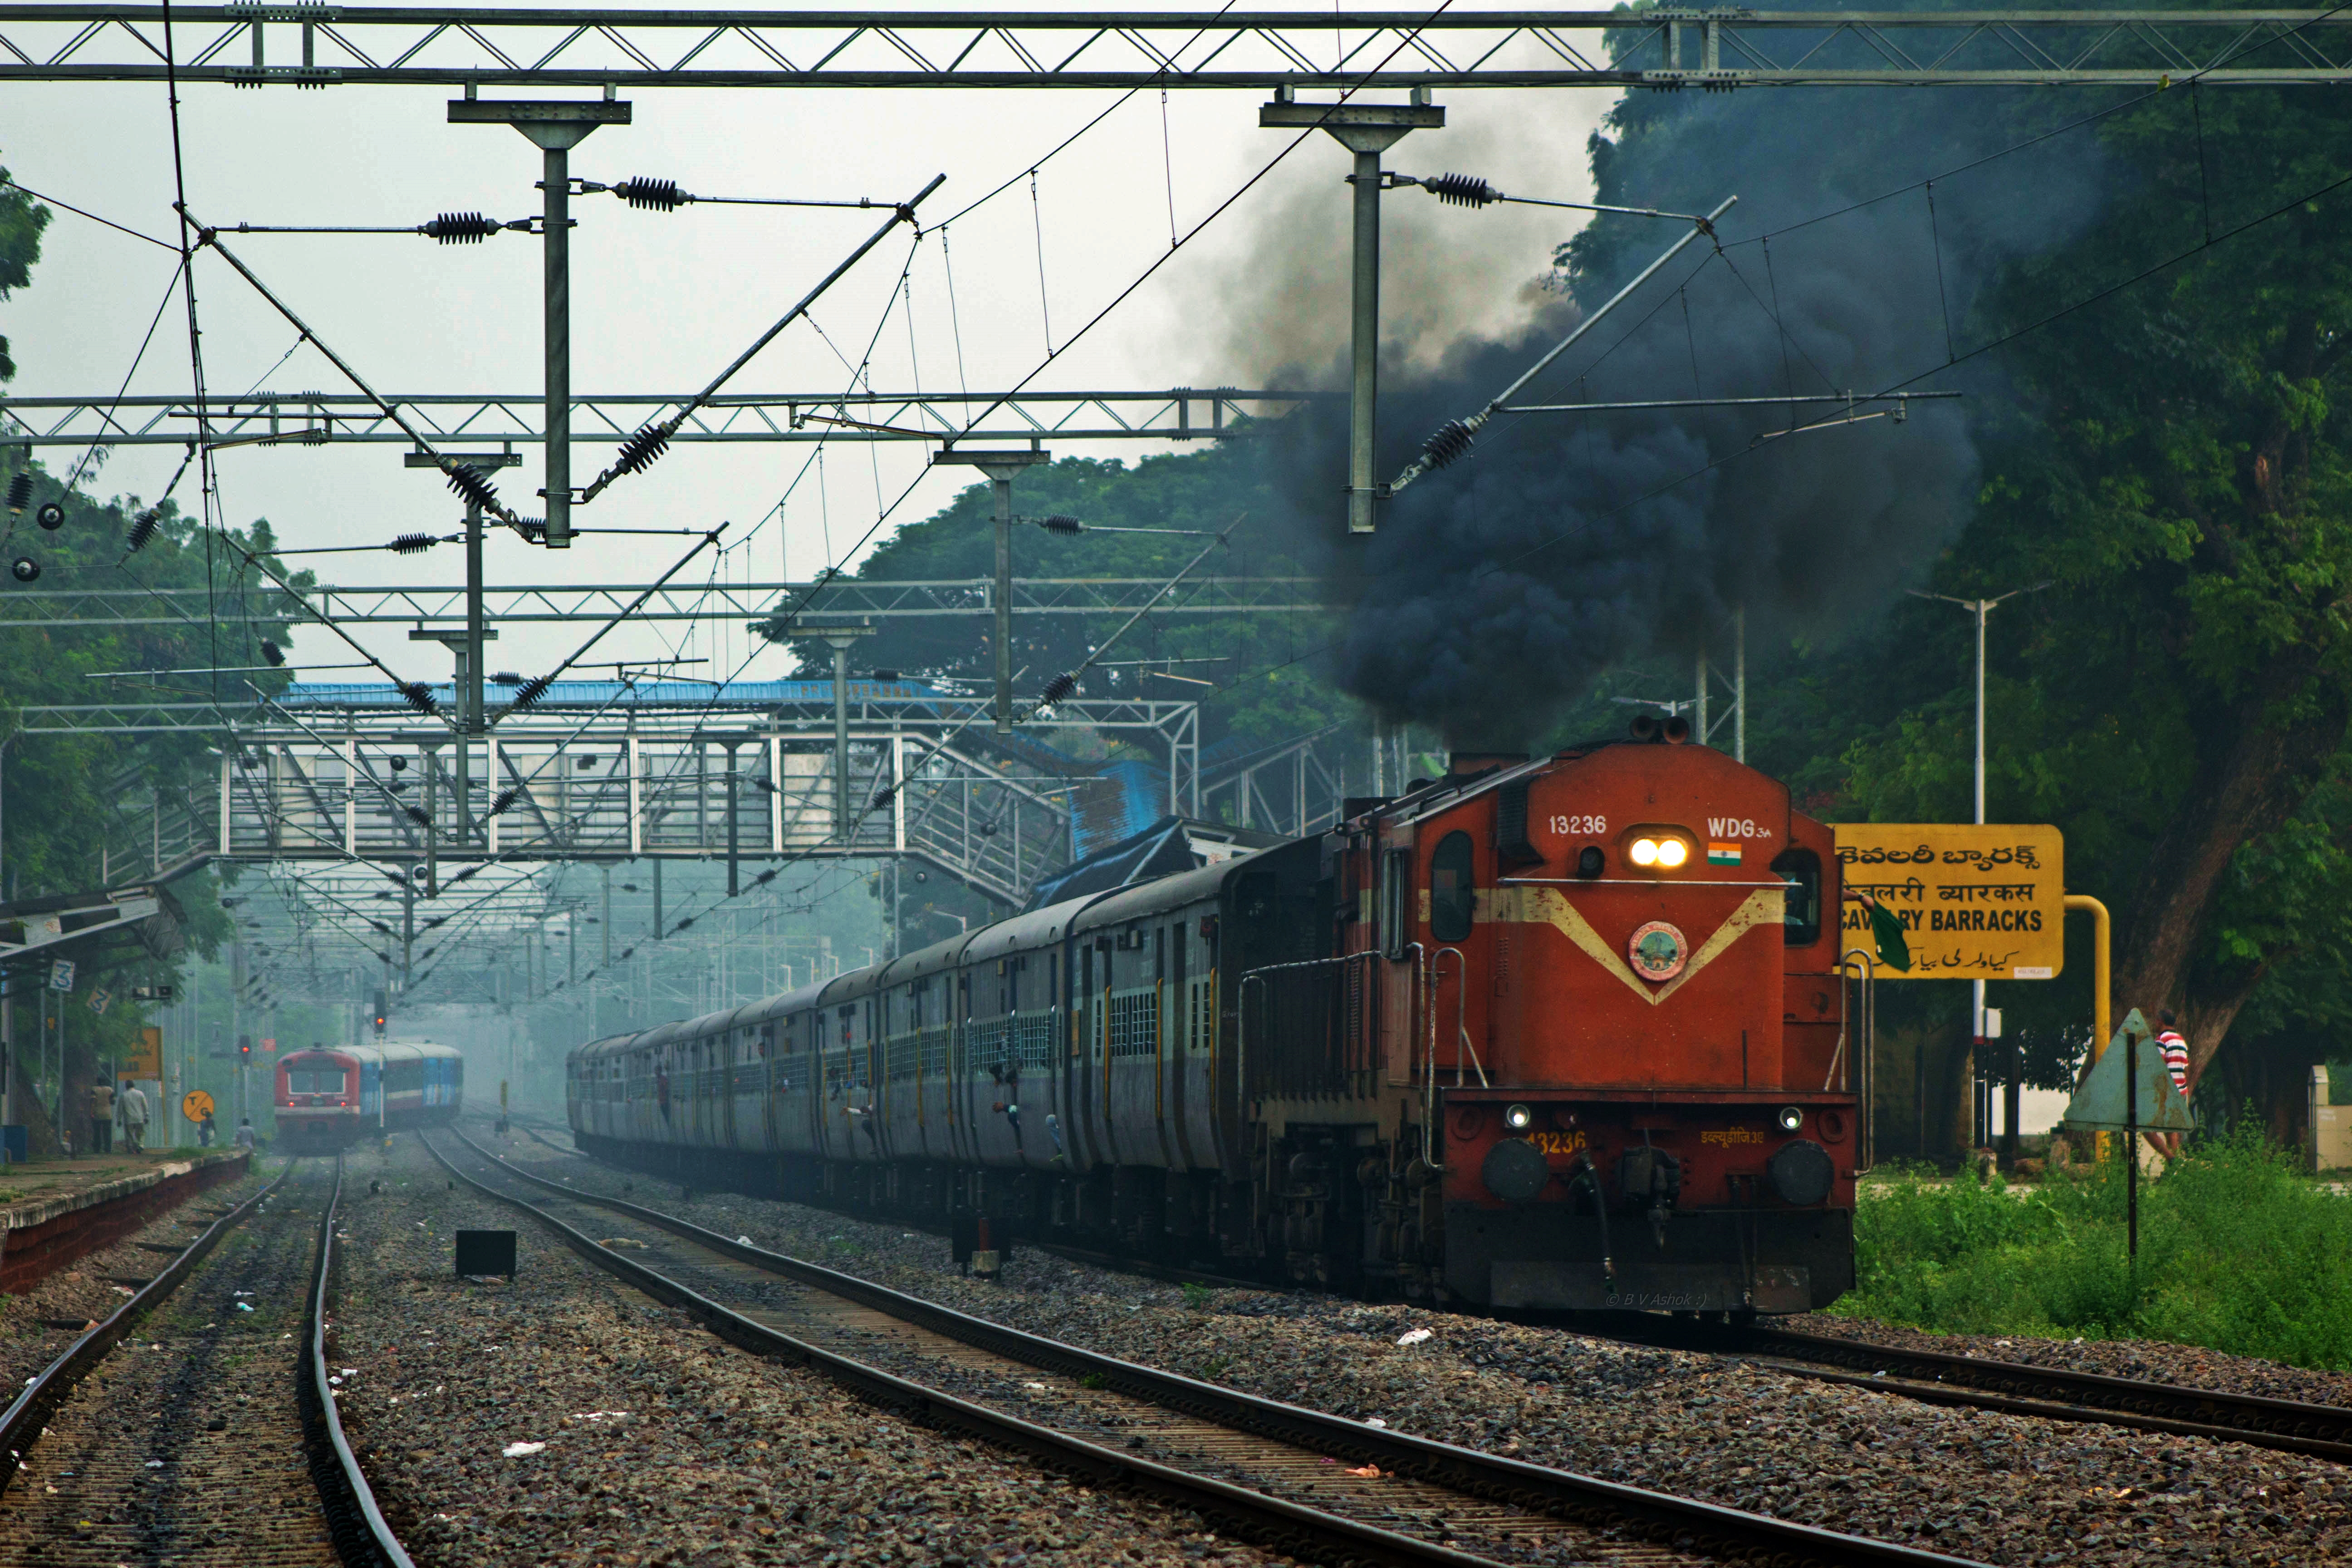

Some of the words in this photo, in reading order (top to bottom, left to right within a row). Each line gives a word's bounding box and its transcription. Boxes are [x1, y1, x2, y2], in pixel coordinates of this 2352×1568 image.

[1543, 808, 1608, 839] 13236
[1706, 815, 1758, 840] WDG
[1836, 841, 1939, 868] కెవలరీ
[1941, 840, 2044, 874] బ్యారక్స్
[1936, 880, 2037, 906] ब्यारकस
[1929, 906, 2043, 935] BARRACKS
[1699, 1124, 1752, 1152] डब्ल्यूडीजि